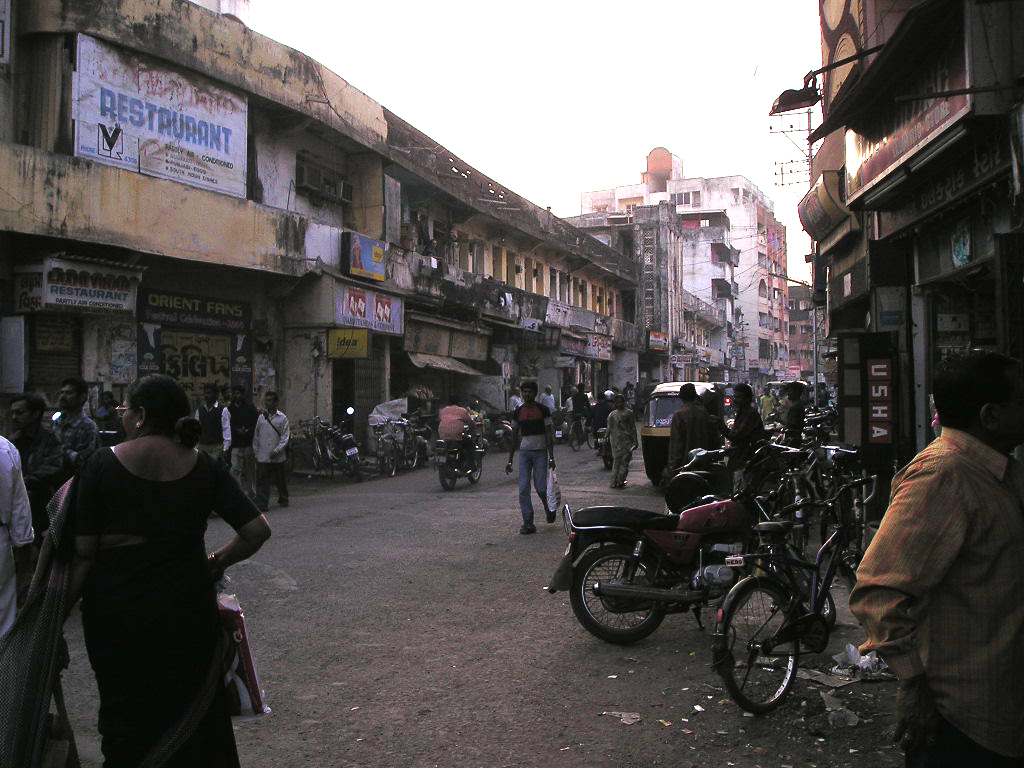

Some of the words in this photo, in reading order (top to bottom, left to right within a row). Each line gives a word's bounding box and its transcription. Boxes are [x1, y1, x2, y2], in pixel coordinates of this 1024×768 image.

[95, 120, 125, 152] V
[92, 83, 235, 159] RESTAURANT
[46, 283, 131, 300] RESTAURANT
[157, 340, 232, 380] ફિલિપ્સ
[867, 362, 893, 439] USHA